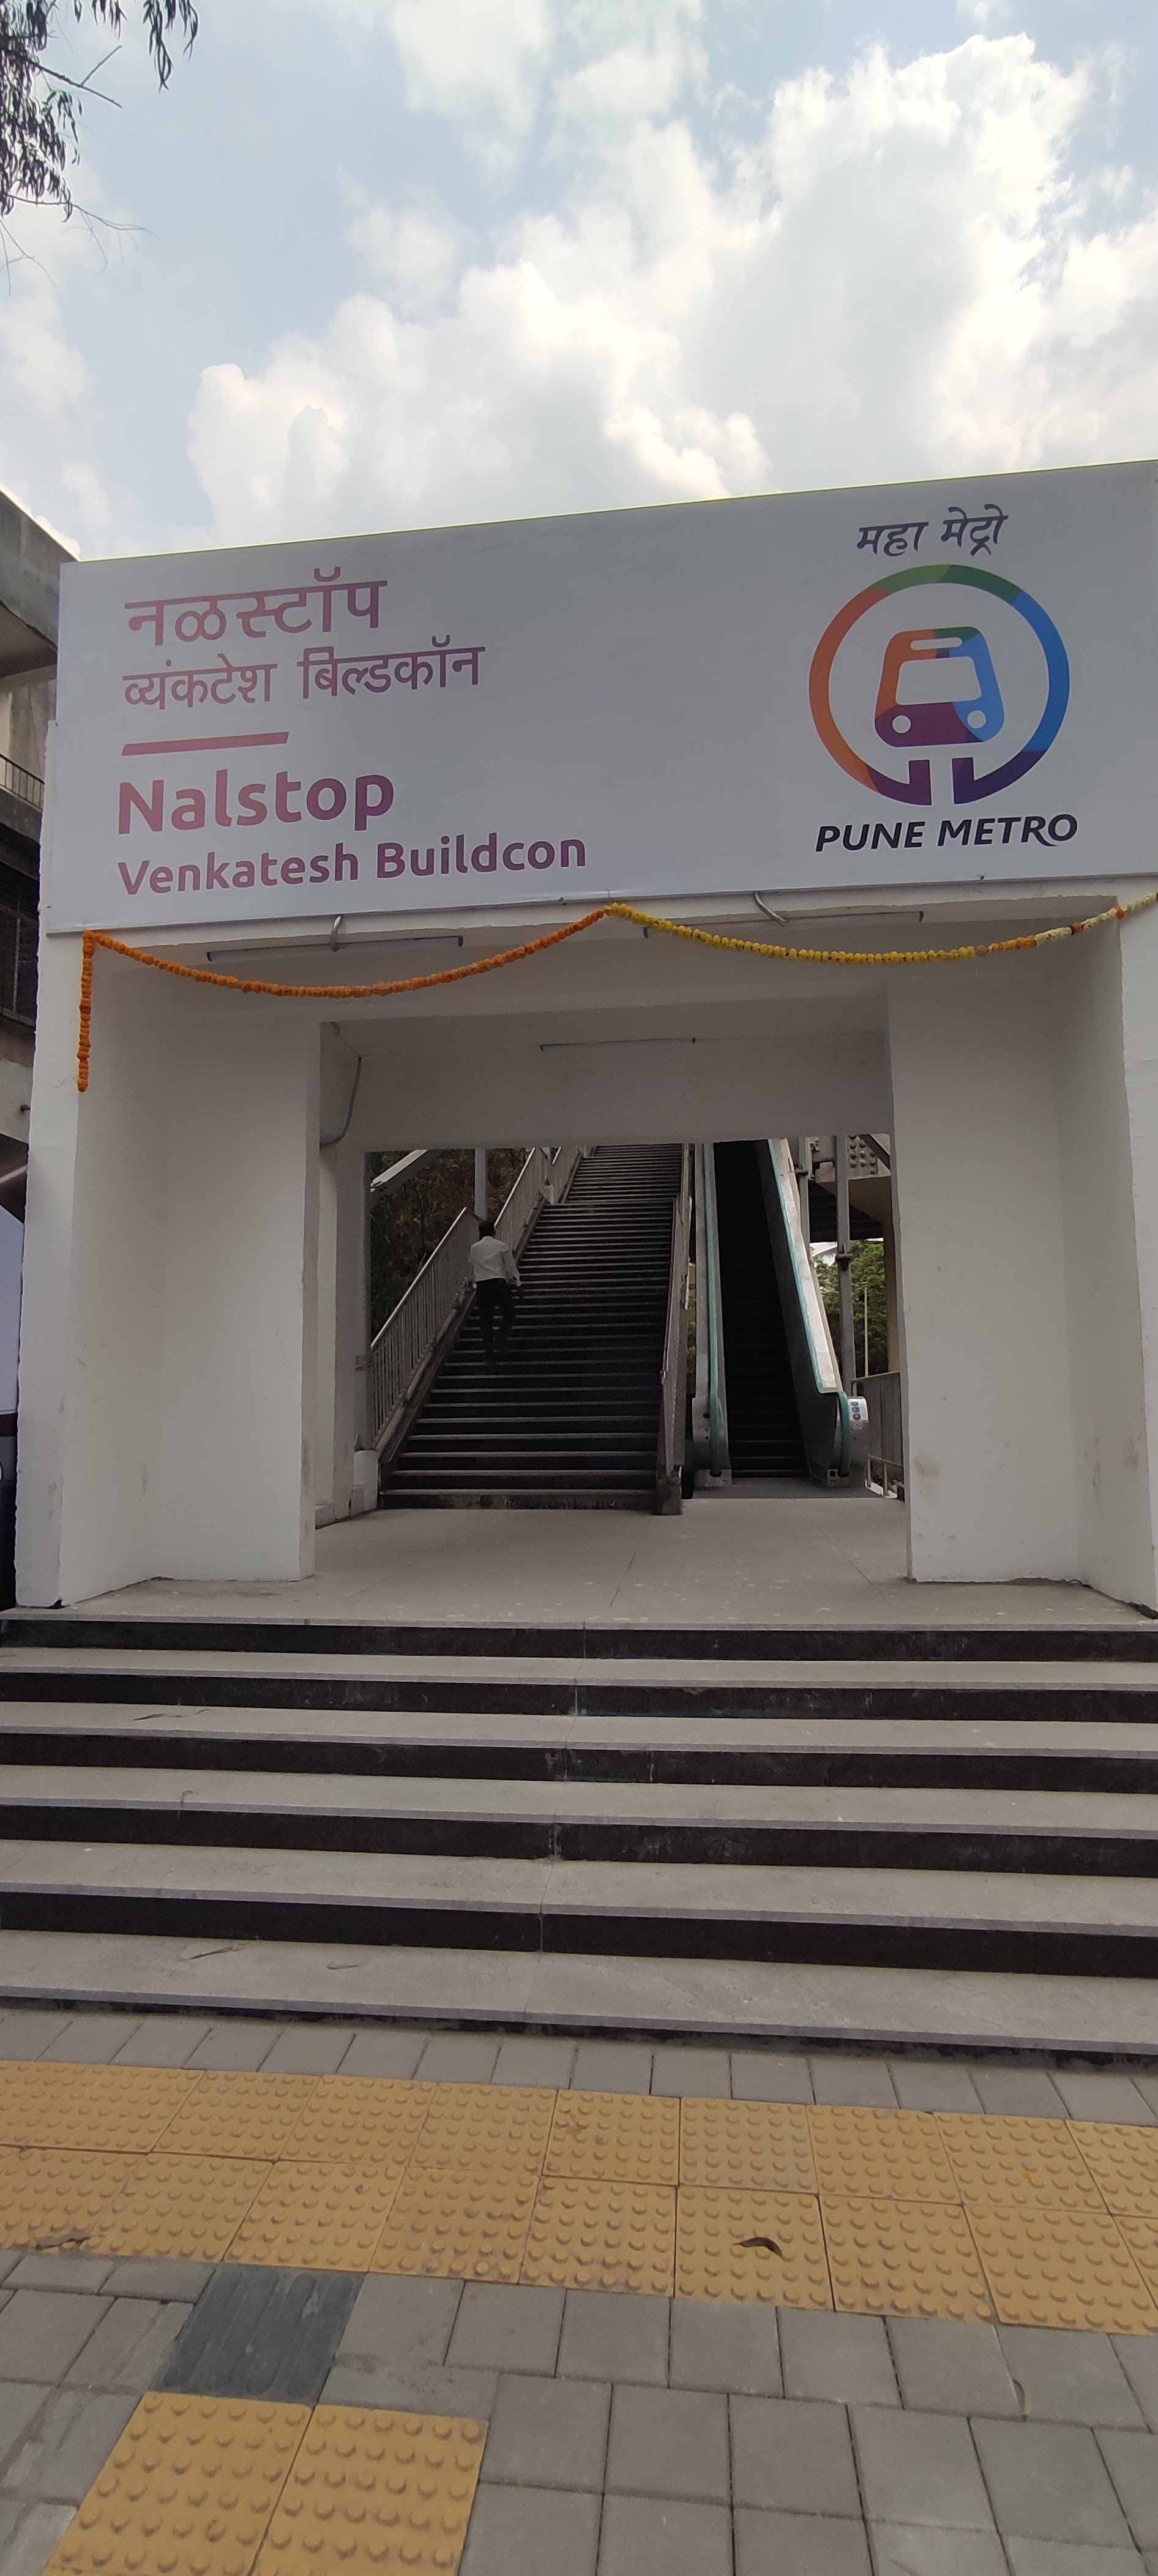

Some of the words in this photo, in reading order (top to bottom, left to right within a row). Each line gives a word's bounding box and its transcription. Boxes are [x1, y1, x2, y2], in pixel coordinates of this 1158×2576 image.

[851, 517, 927, 557] महा
[933, 497, 1010, 557] मेट्रो
[121, 561, 389, 649] नळस्टॉप
[118, 642, 285, 717] व्यंकटेश
[294, 632, 488, 705] बिल्डकॉन
[118, 840, 367, 898] Venkatesh
[113, 765, 395, 839] Nalstop
[368, 826, 593, 880] Buildcon
[813, 815, 928, 855] PUNE
[936, 806, 1085, 852] METRO